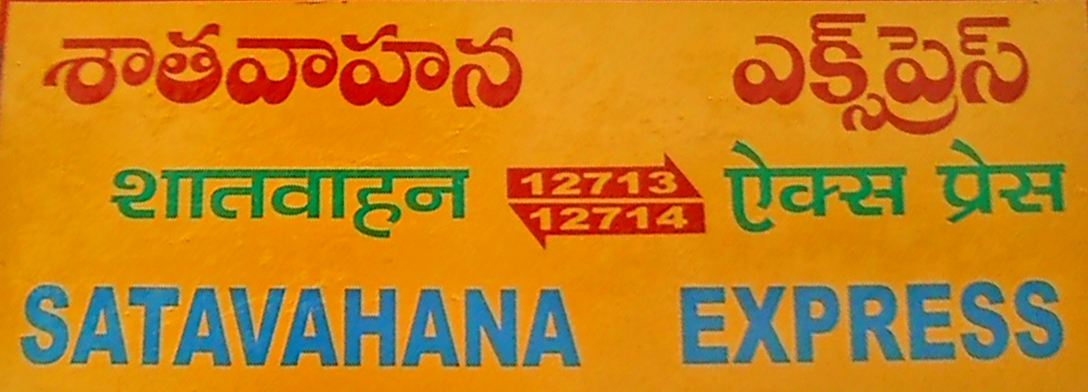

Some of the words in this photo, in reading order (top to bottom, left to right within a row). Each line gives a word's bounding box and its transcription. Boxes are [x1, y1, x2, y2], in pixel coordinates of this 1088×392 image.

[33, 15, 528, 116] శాతవాహన
[725, 6, 1039, 139] ఎక్సప్రస్
[112, 158, 475, 243] शातवाहन
[719, 136, 910, 241] ऐक्स
[927, 133, 1070, 226] प्रेस
[19, 276, 590, 373] SATAVAHANA
[677, 275, 1069, 369] EXPRESS